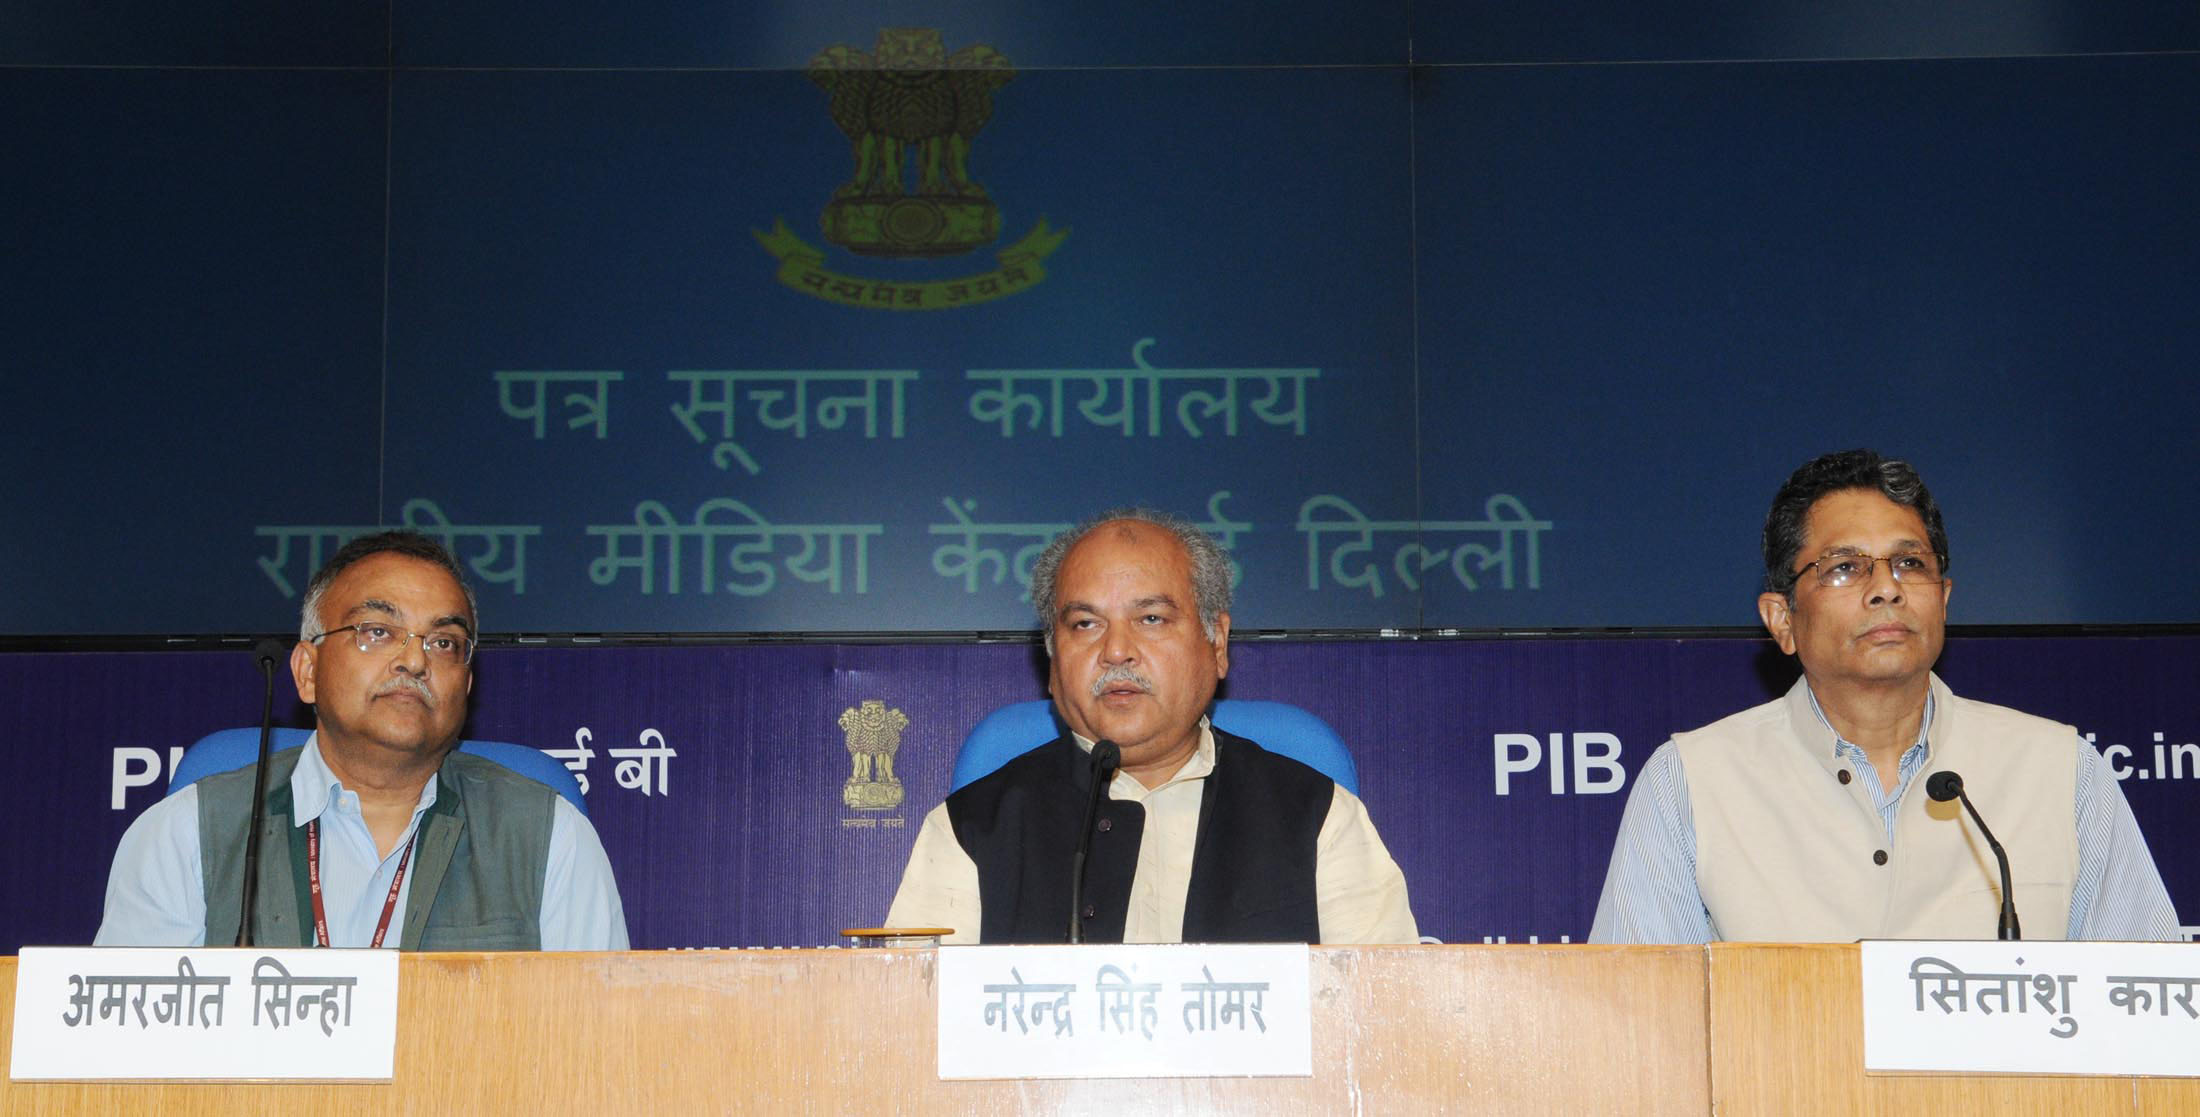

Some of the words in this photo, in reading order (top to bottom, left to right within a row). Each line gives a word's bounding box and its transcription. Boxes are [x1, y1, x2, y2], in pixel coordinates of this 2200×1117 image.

[797, 261, 930, 313] सत्यमेव
[936, 245, 1038, 318] ज य ते
[491, 363, 631, 444] पत्र
[667, 361, 919, 481] सूचना
[959, 329, 1322, 445] कार्यालय
[577, 493, 888, 609] मीडिया
[923, 488, 1091, 615] कें
[1293, 487, 1559, 607] दिल्‍ली
[100, 739, 178, 810] P
[605, 727, 680, 804] बी
[1484, 727, 1629, 803] PIB
[59, 945, 236, 1032] अमरजीत
[245, 948, 360, 1039] सिन्‍हा
[984, 960, 1082, 1043] नरेन्द्र
[1087, 958, 1171, 1051] सिह
[1173, 957, 1276, 1042] तोमर
[1899, 951, 2083, 1043] सितांशु
[2104, 967, 2199, 1023] कार